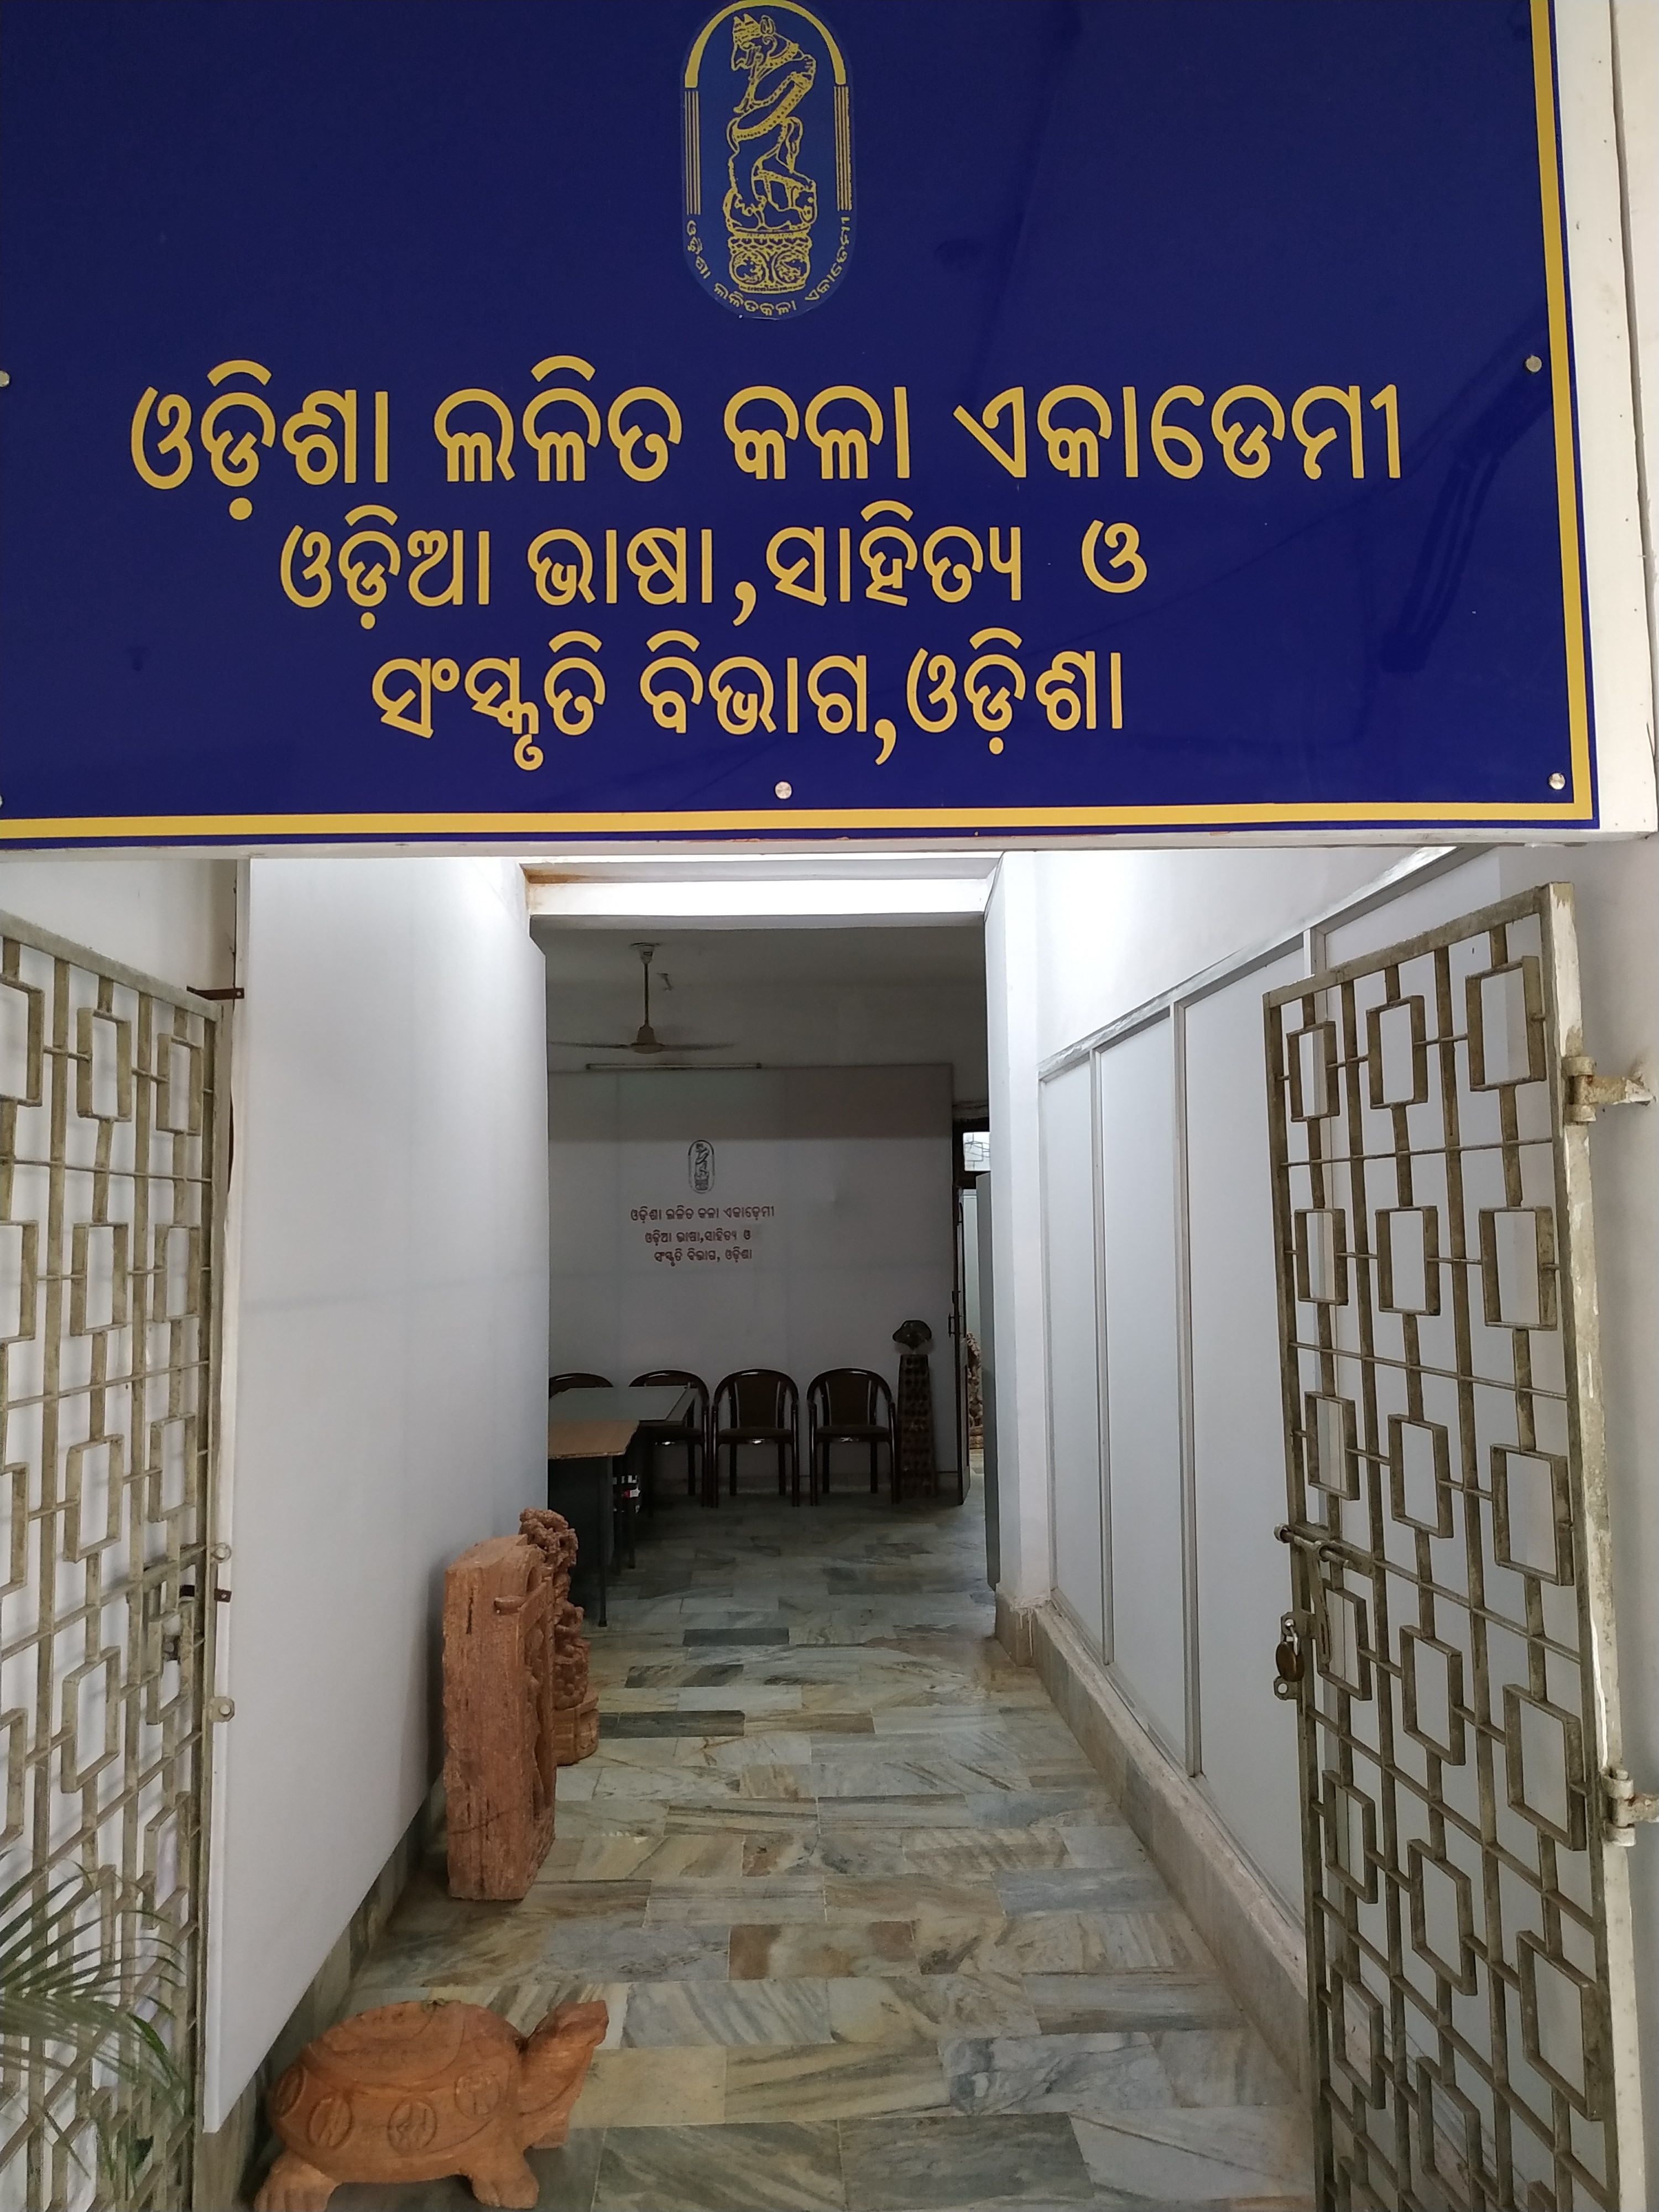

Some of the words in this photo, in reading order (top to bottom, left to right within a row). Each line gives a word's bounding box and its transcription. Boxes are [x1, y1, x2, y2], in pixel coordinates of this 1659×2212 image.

[680, 216, 715, 288] ଓଡ଼ିଶା
[804, 212, 854, 306] ଏକାଡେମୀ
[710, 278, 801, 318] ଲଳିତ କଳା
[126, 351, 392, 528] ଓଡ଼ିଶା
[430, 345, 693, 493] ଲଳିତ
[710, 368, 924, 499] କଳା
[949, 377, 1406, 486] ଏକାଡେମୀ
[269, 493, 494, 635] ଓଡ଼ିଆ
[525, 515, 723, 615] ଭାଷା
[759, 492, 1027, 612] ସାହିତ୍ୟ
[1075, 515, 1156, 600] ଓ
[362, 624, 611, 783] ସଂସ୍କୃତି
[634, 619, 902, 768] ବିଭାଗ,
[896, 616, 1126, 759] ଓଡ଼ିଶା
[626, 1199, 664, 1226] ଓଡ଼ିଶା
[643, 1223, 674, 1248] ଓଡ଼ିଆ
[649, 1245, 685, 1267] ସଂସ୍କୃତି
[662, 1199, 697, 1223] ଲଳିତ
[674, 1224, 705, 1247] ଭାଷା,
[683, 1244, 721, 1263] ବିଭାଗ,
[696, 1203, 723, 1222] କଳା
[701, 1224, 740, 1244] ସାହିତ୍ୟ
[723, 1241, 757, 1265] ଓଡ଼ିଶା
[742, 1227, 753, 1245] ଓ
[722, 1202, 776, 1223] ଏକାଡ଼େମା